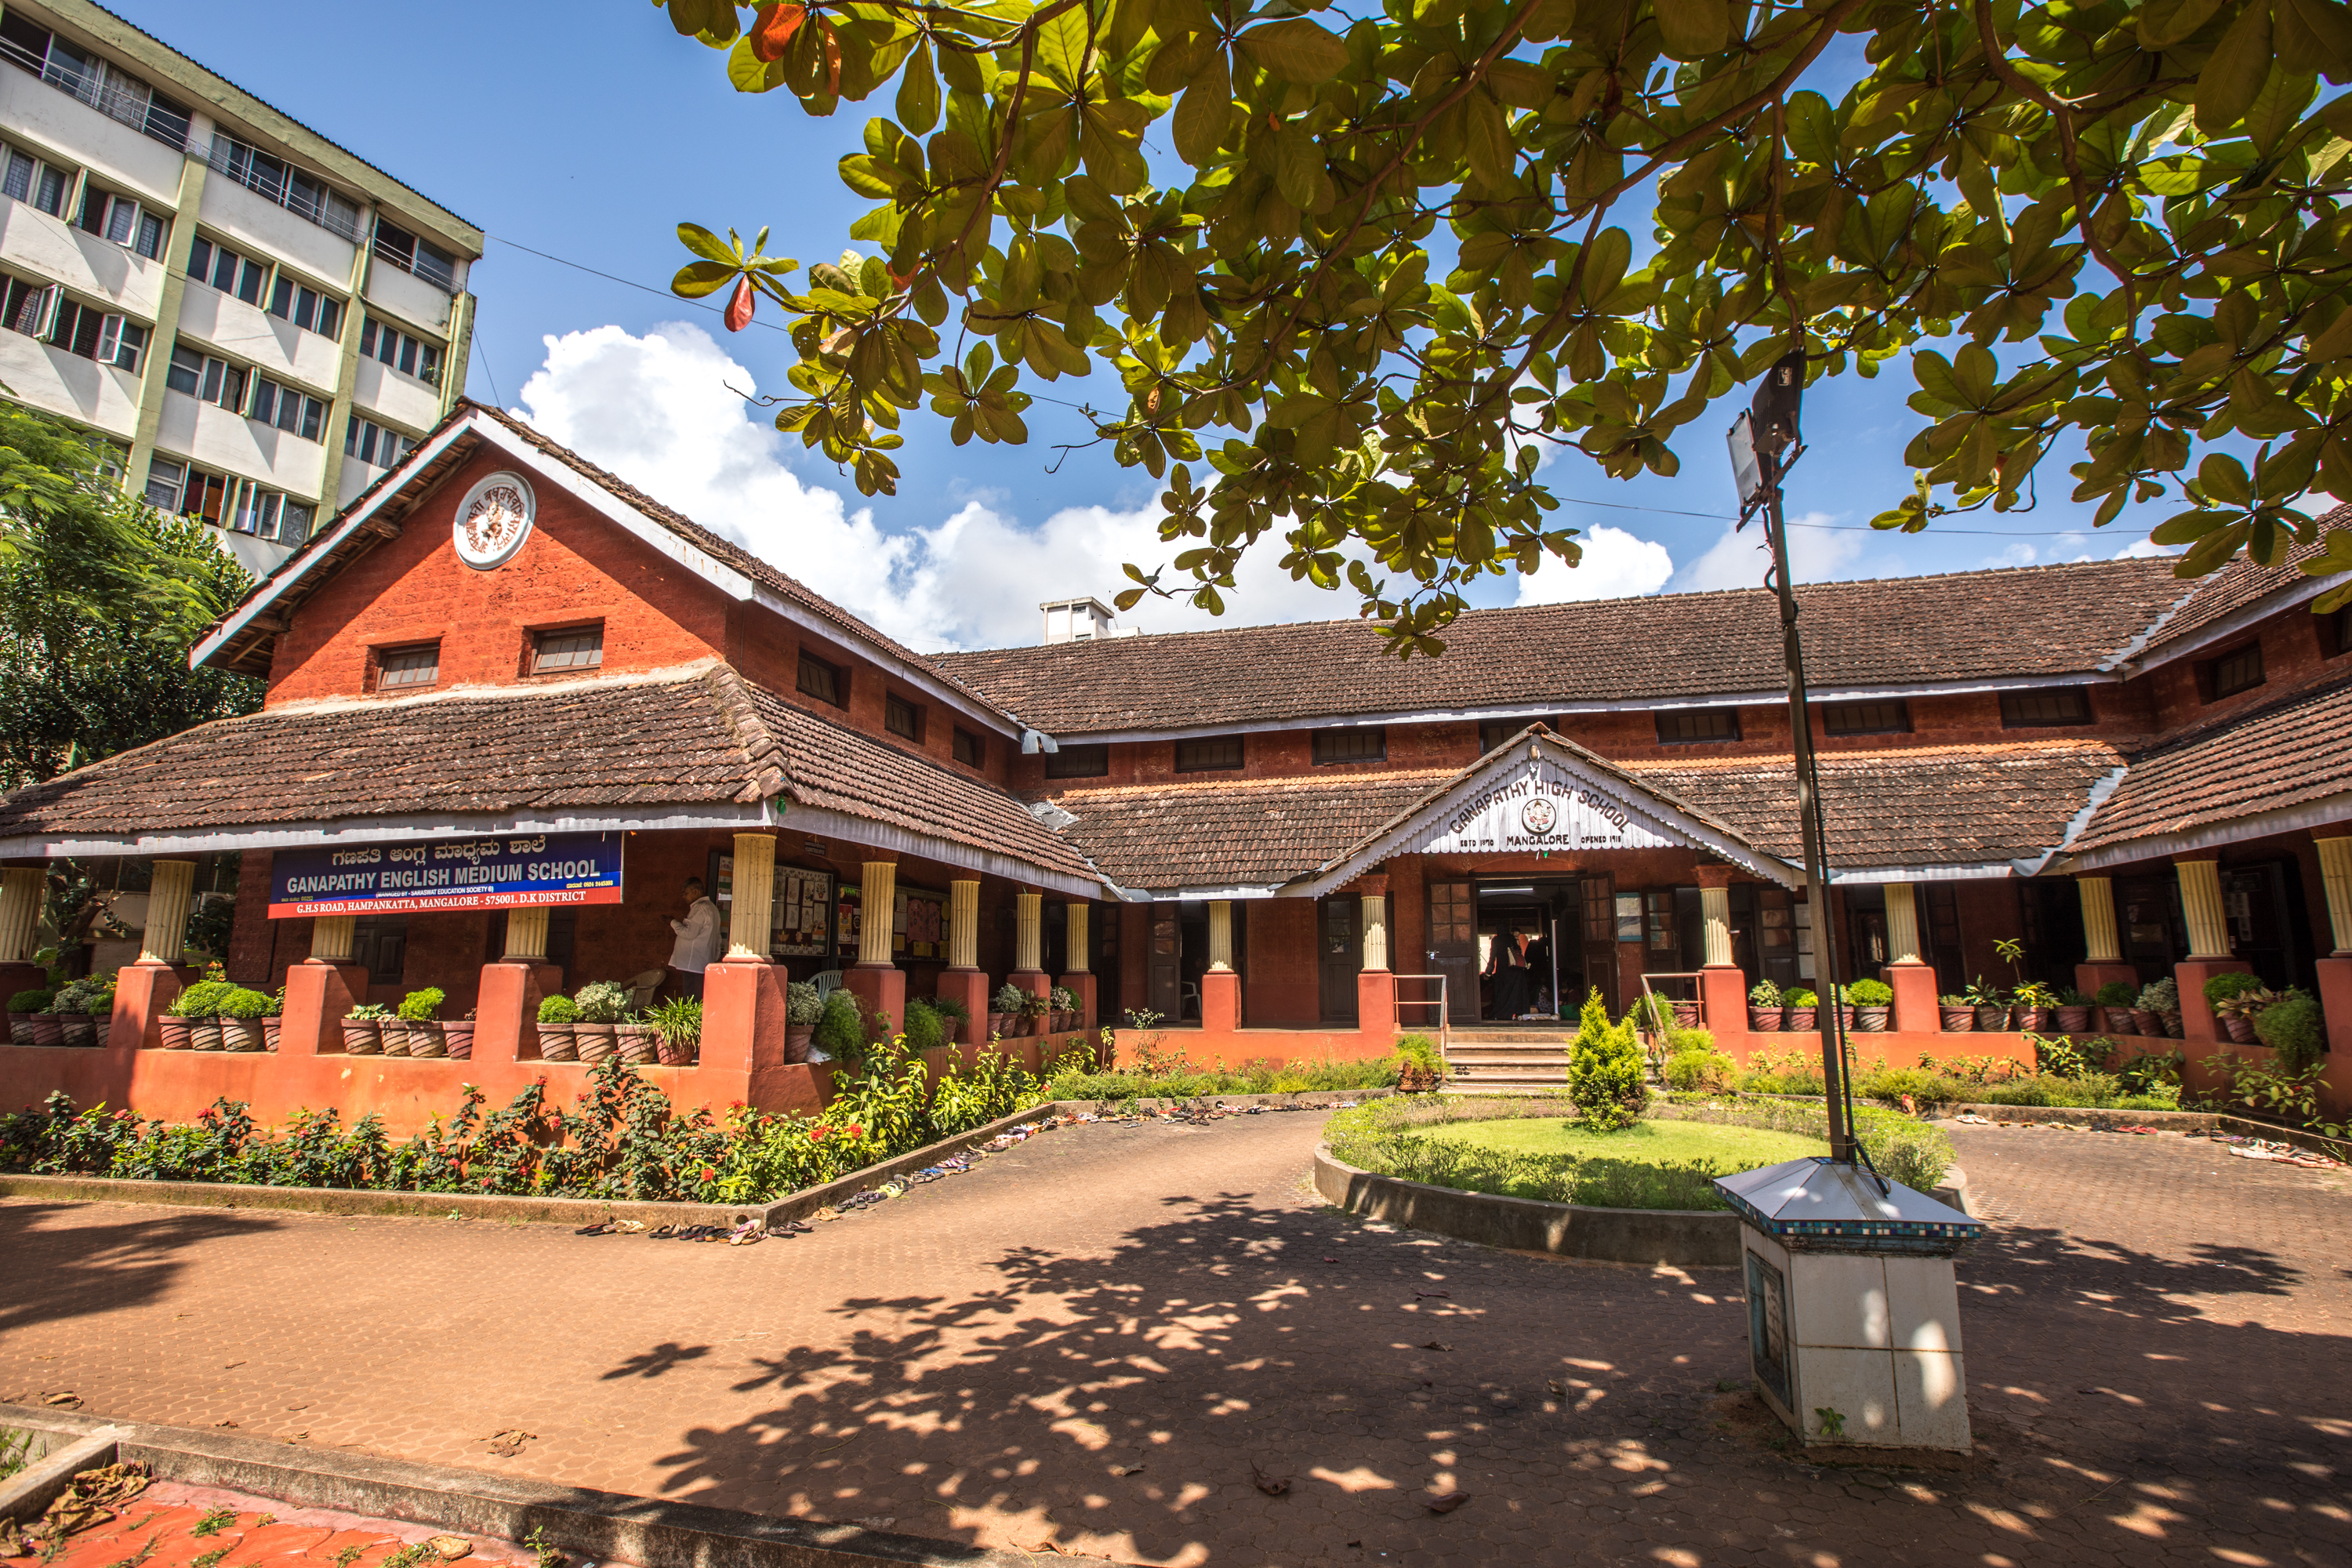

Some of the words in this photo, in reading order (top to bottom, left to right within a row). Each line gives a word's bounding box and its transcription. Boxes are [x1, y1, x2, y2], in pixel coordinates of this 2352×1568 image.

[1530, 774, 1578, 802] HIGH
[1446, 778, 1529, 839] GANAPATHY
[1573, 781, 1636, 836] SCHOOL
[328, 839, 385, 869] ಗಣಪತಿ
[385, 841, 431, 866] ಆಂಗ್ಲ
[433, 835, 504, 867] ಮಾಧ್ಯಮ
[506, 830, 550, 859] ಶಾಲೆ
[1504, 830, 1572, 848] MANGALORE
[1578, 832, 1610, 848] OPENED
[283, 868, 381, 895] GANAPATHY
[376, 865, 453, 892] ENGLISH
[452, 859, 526, 887] MEDIUM
[523, 856, 603, 883] SCHOOL
[293, 899, 350, 917] G.H.SROAD,
[345, 896, 421, 913] HAMPANKATTA,
[416, 894, 482, 910] MANGALORE
[482, 891, 517, 907] 575001
[511, 888, 540, 909] .D.K
[534, 887, 588, 908] DISTRICT